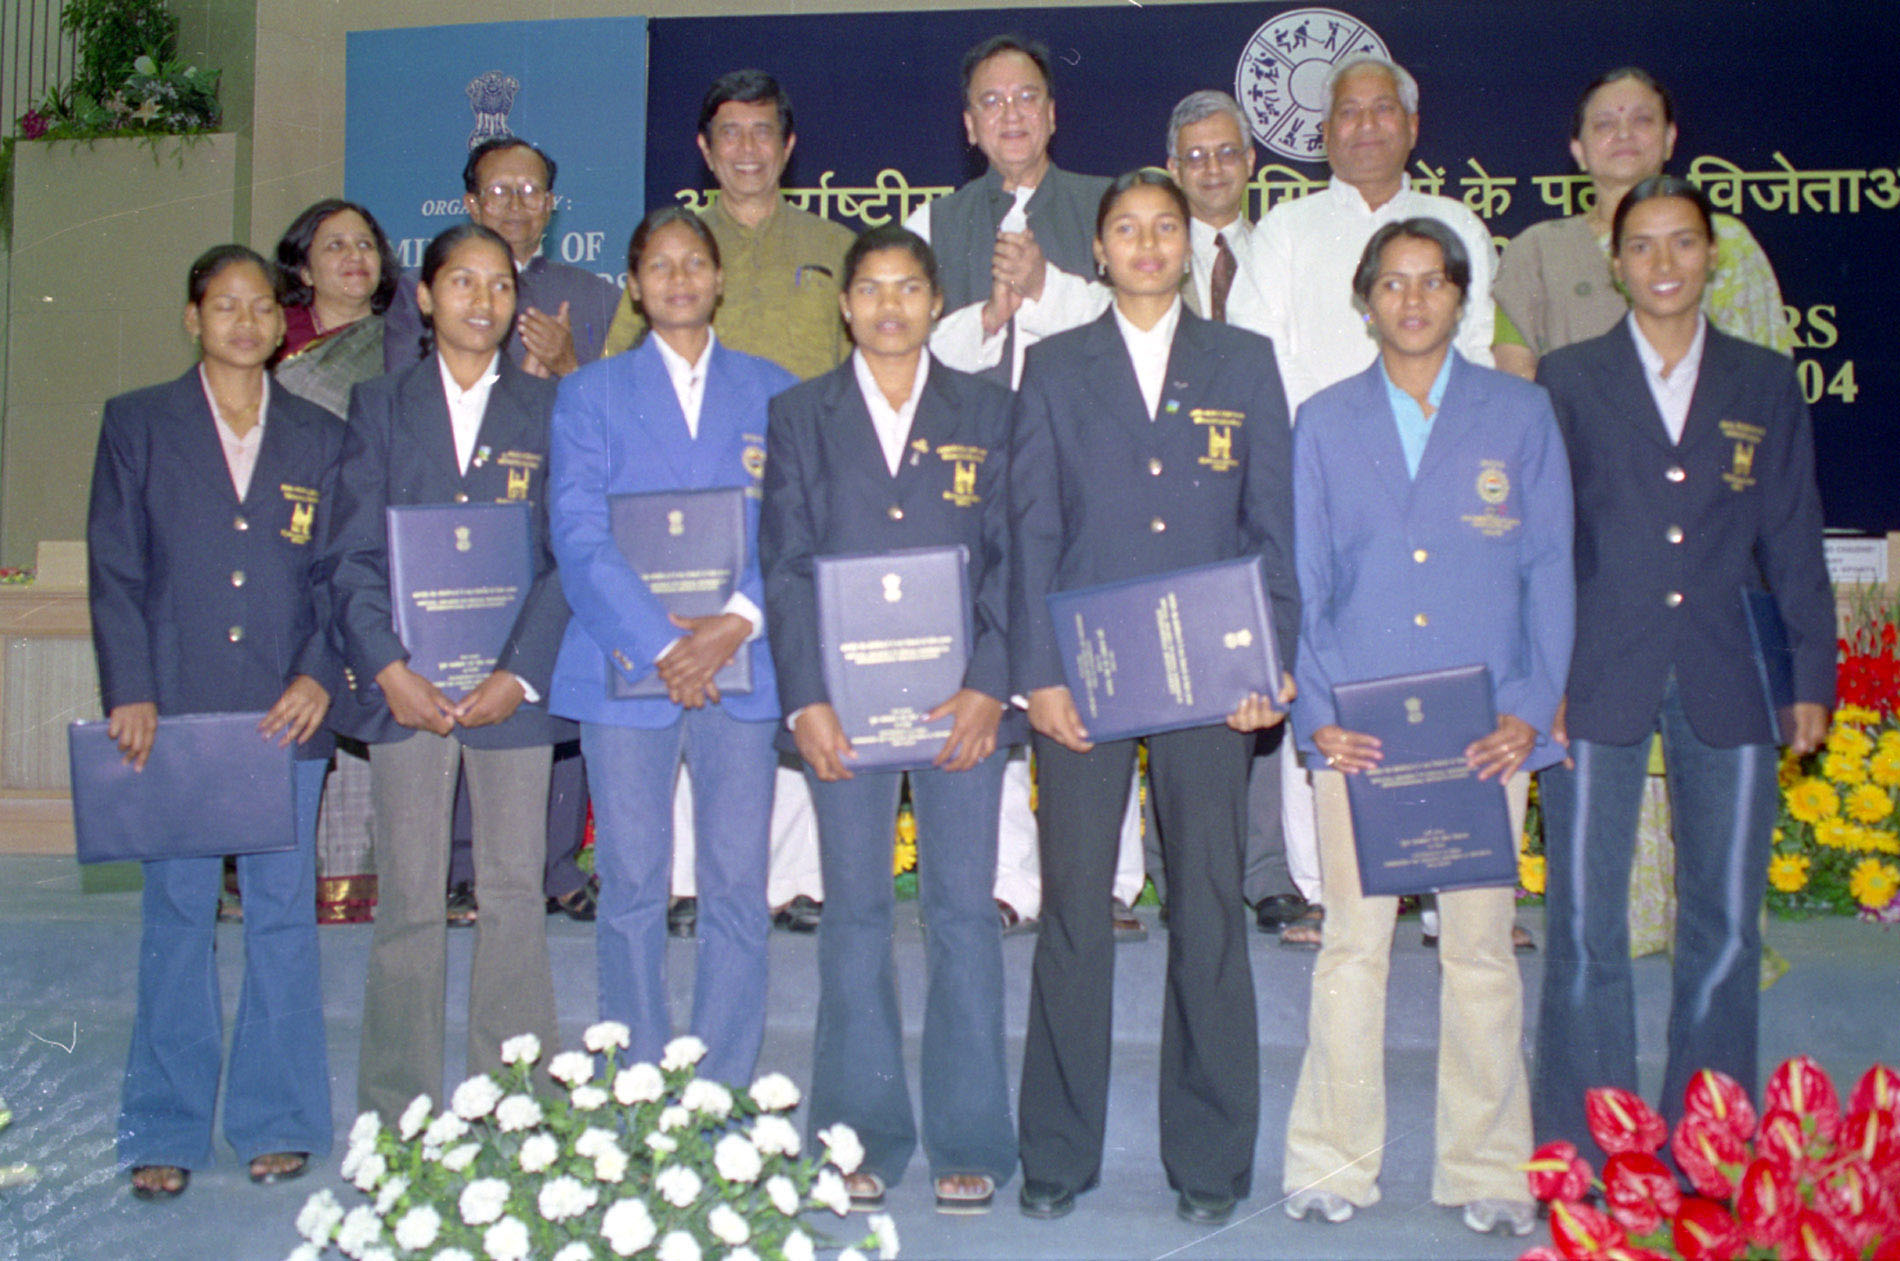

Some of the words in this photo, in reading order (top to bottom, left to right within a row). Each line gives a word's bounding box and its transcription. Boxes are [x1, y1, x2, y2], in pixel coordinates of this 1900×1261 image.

[414, 195, 467, 219] ORG
[1457, 154, 1522, 224] के
[1681, 150, 1899, 219] विजेता3
[556, 223, 611, 269] OF
[1791, 350, 1868, 409] 04